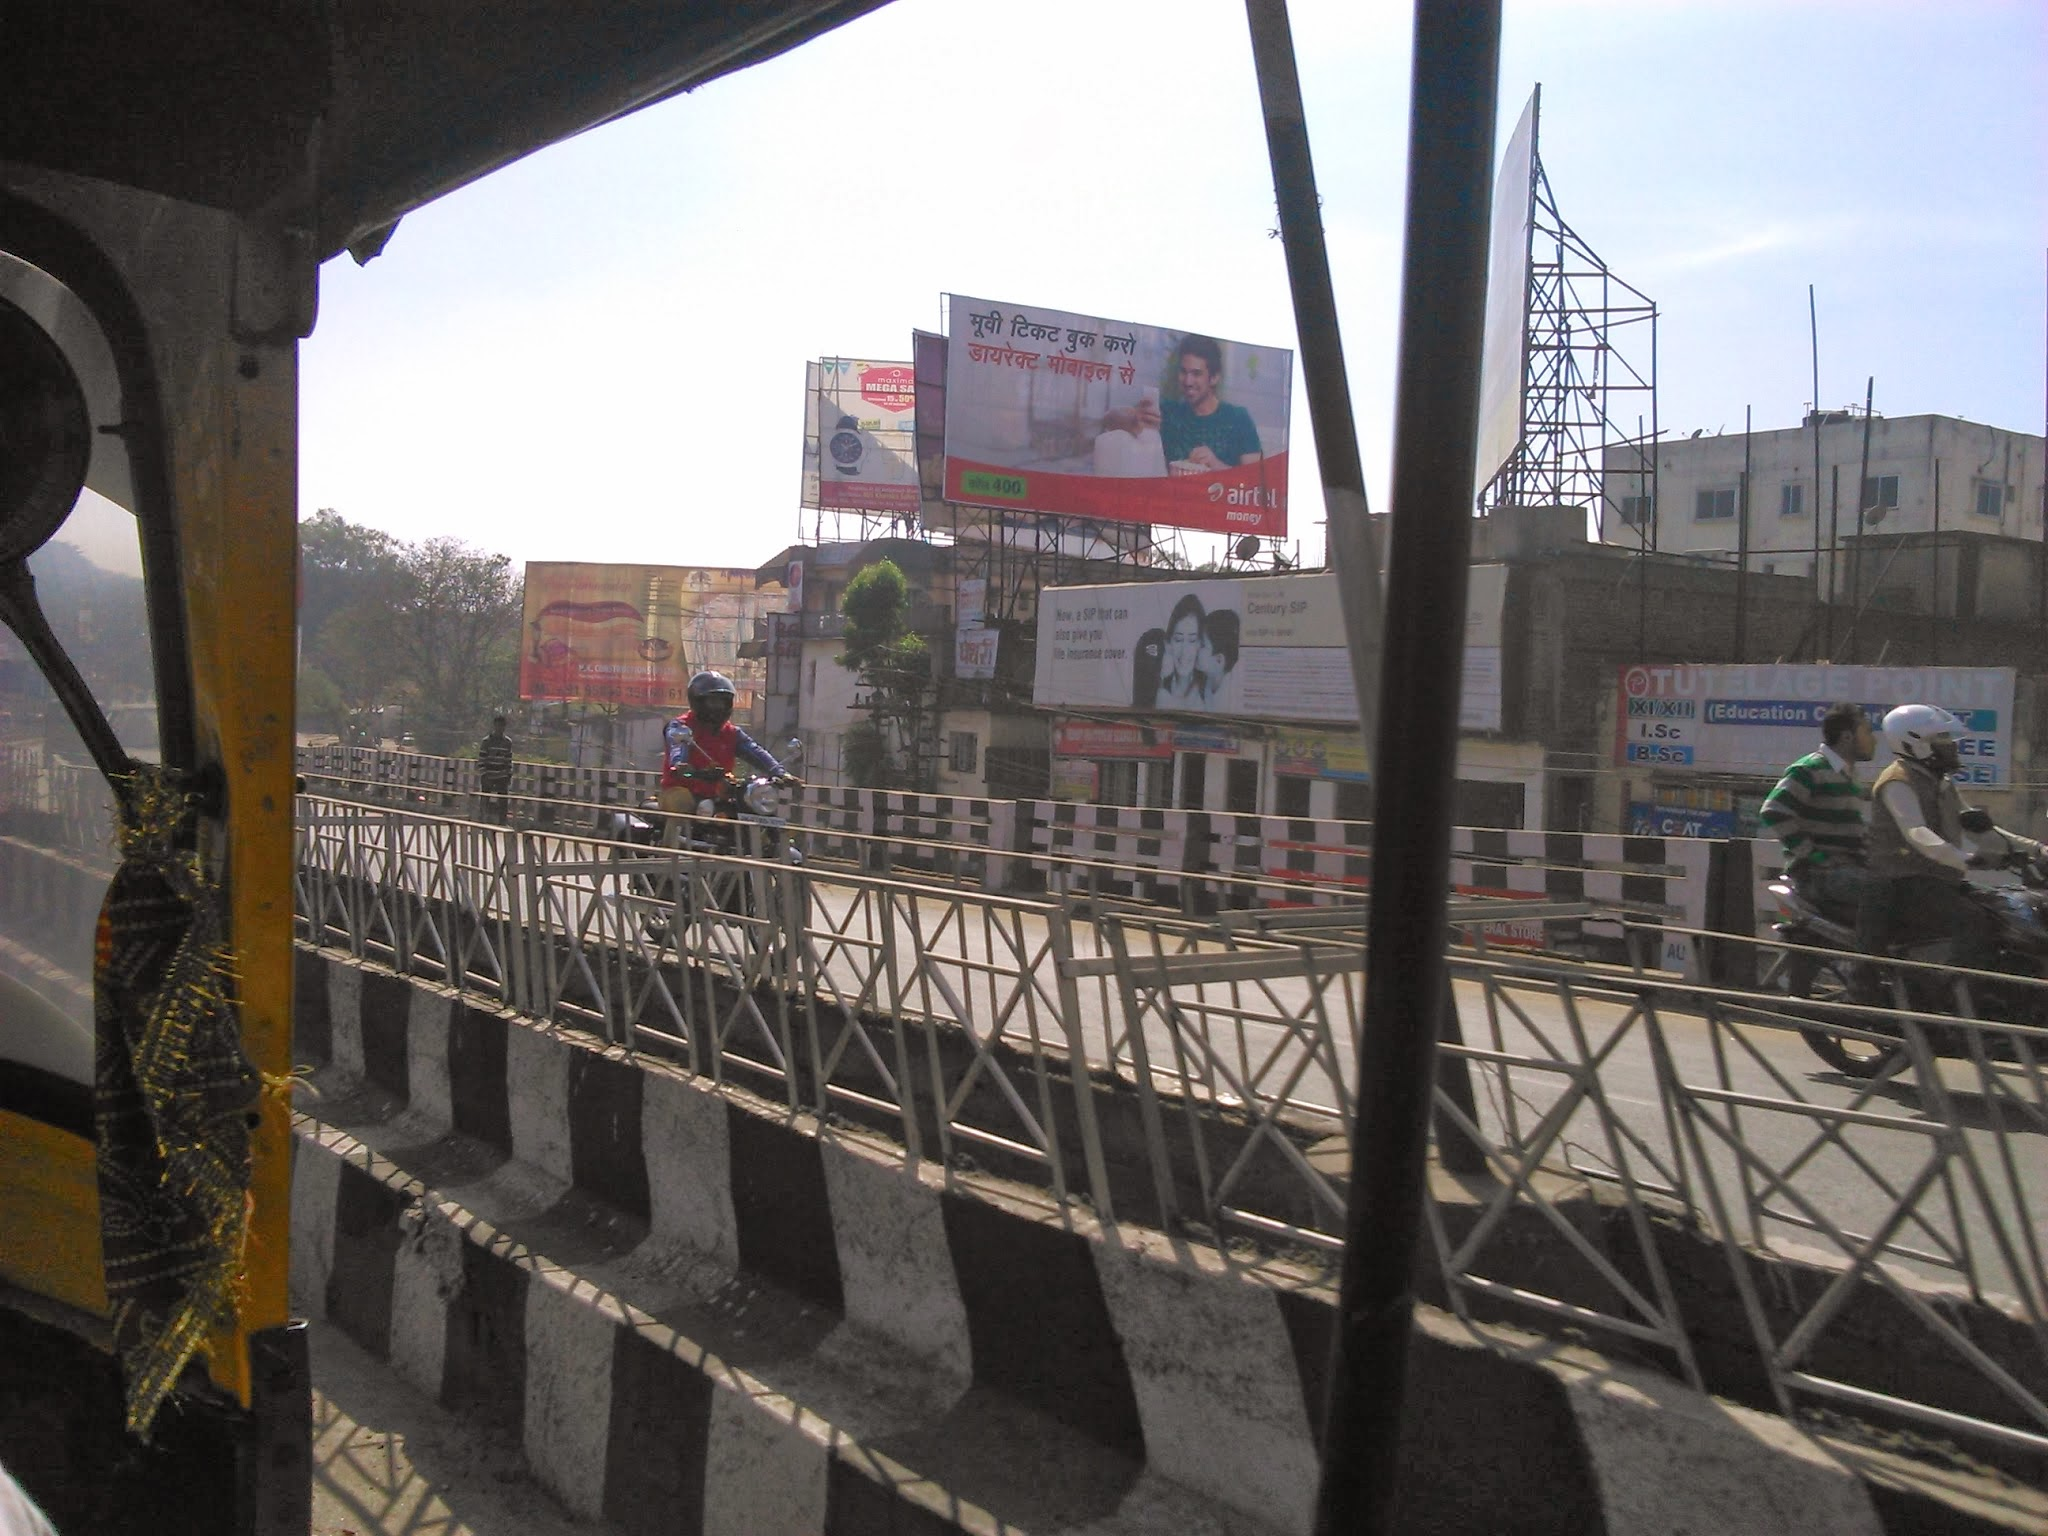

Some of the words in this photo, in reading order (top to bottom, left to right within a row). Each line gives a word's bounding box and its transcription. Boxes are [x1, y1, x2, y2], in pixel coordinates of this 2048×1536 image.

[964, 303, 1007, 345] मूवी
[964, 338, 1044, 379] डायरेक्ट
[1005, 307, 1063, 348] टिकट
[1043, 341, 1114, 390] मोबाइल
[1063, 325, 1098, 359] बुक
[1099, 328, 1140, 359] करो
[1115, 354, 1137, 386] से
[1222, 475, 1281, 513] airtel
[1221, 505, 1267, 529] money
[1629, 693, 1695, 722] XIXII
[1712, 701, 1809, 723] Education
[1637, 717, 1684, 742] I.Sc
[1633, 743, 1689, 771] B.Sc